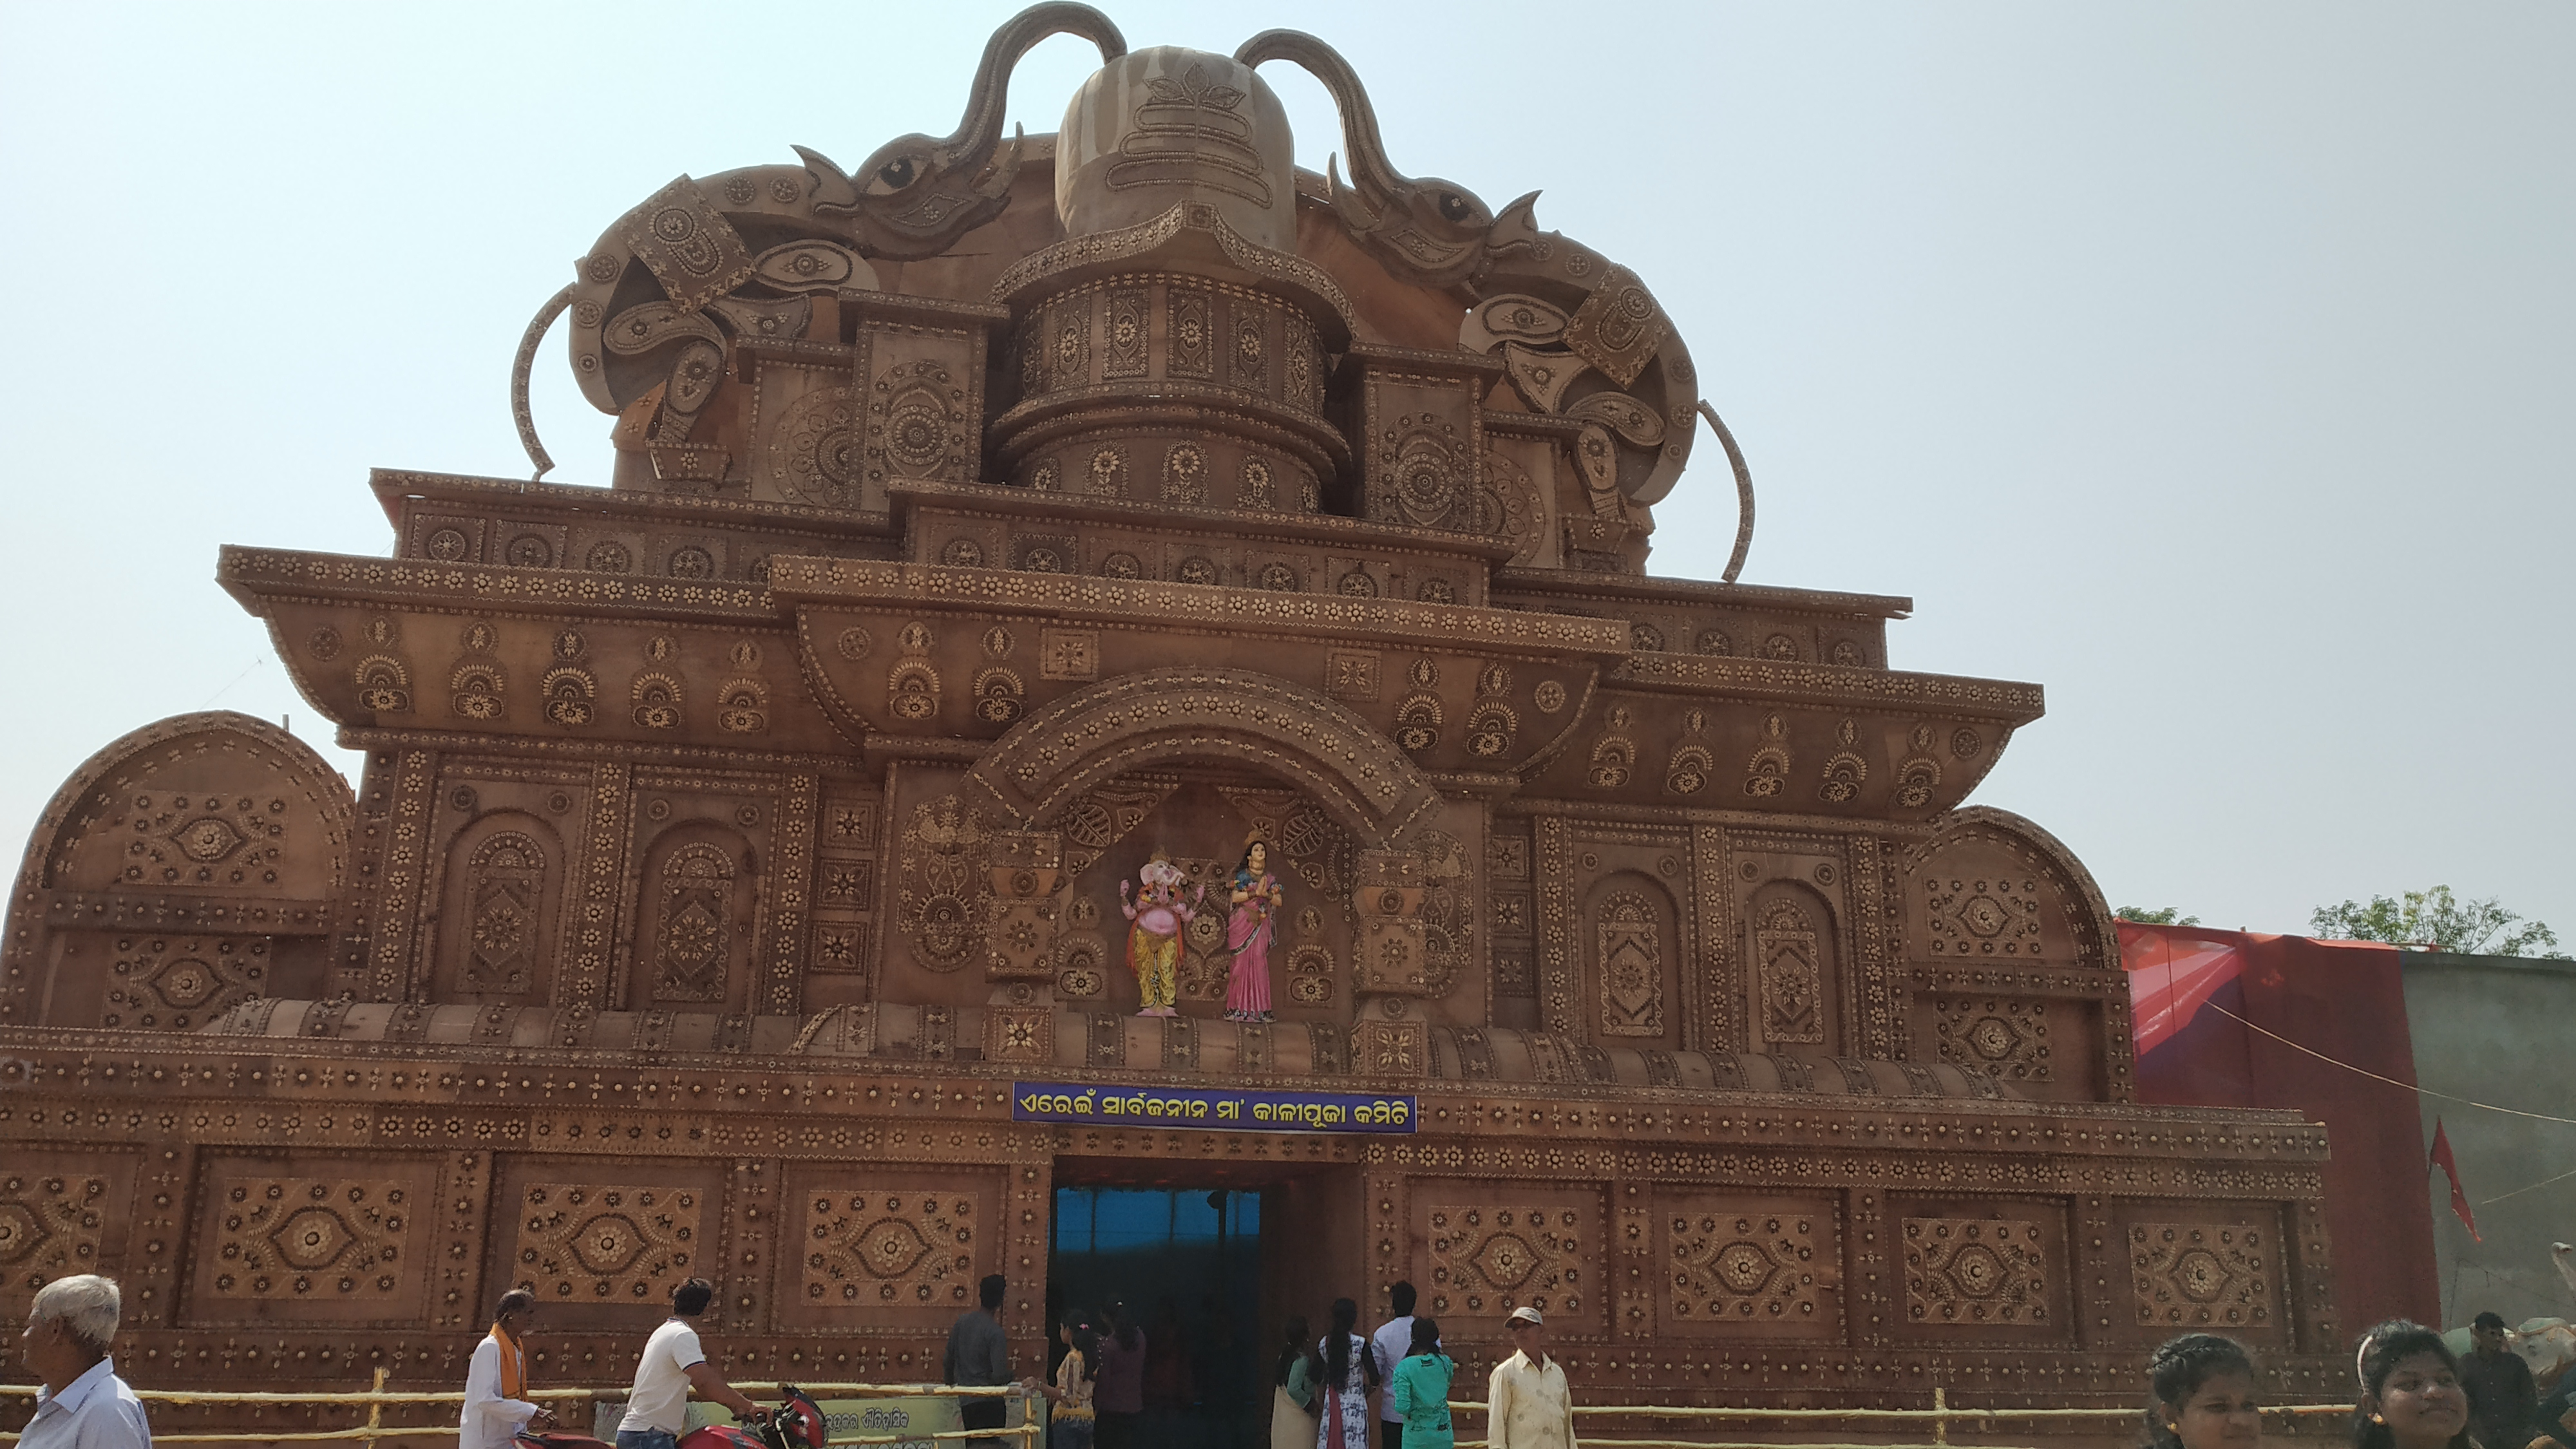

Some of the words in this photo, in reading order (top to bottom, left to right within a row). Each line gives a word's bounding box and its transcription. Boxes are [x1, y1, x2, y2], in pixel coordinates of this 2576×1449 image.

[1016, 1085, 1099, 1117] ଏରେଇଁ
[1099, 1086, 1213, 1121] ସାର୍ବଜନୀନ
[1209, 1097, 1249, 1126] व्रा
[1251, 1099, 1349, 1130] କାଳୀପୂଜା
[1352, 1095, 1414, 1132] କମିଟି
[819, 1410, 861, 1435] ମଦ୍ରକର
[860, 1400, 913, 1433] ଐତିହାସିକ